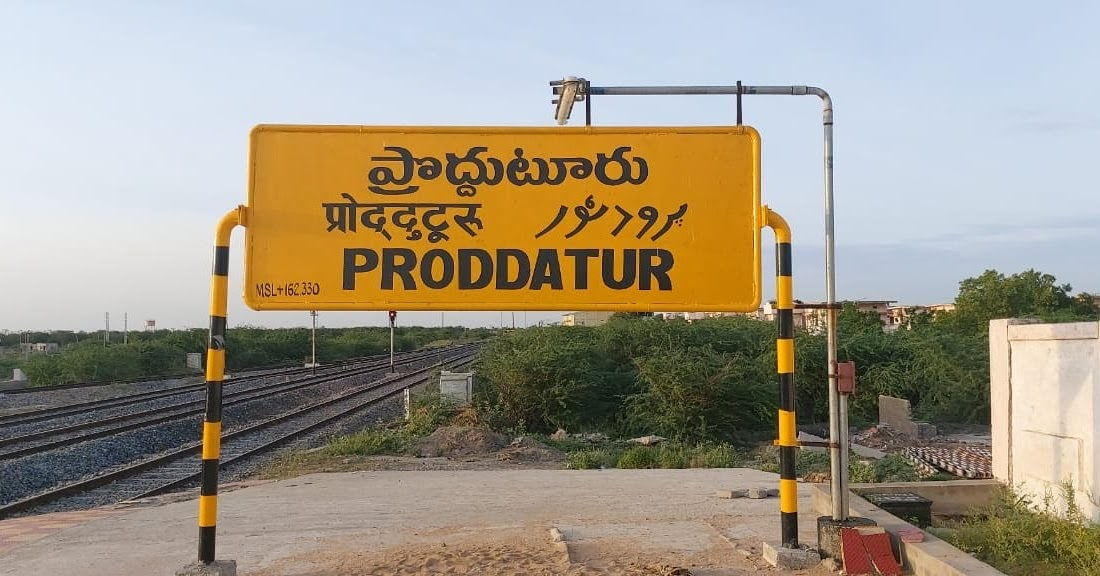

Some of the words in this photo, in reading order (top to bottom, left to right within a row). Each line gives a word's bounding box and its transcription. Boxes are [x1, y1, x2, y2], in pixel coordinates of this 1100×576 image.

[363, 137, 655, 199] ప్రొద్దుటూరు
[319, 189, 486, 248] प्रोद्दुटूरु
[250, 273, 323, 304] MSL+162.330
[339, 239, 675, 295] PRODDATUR